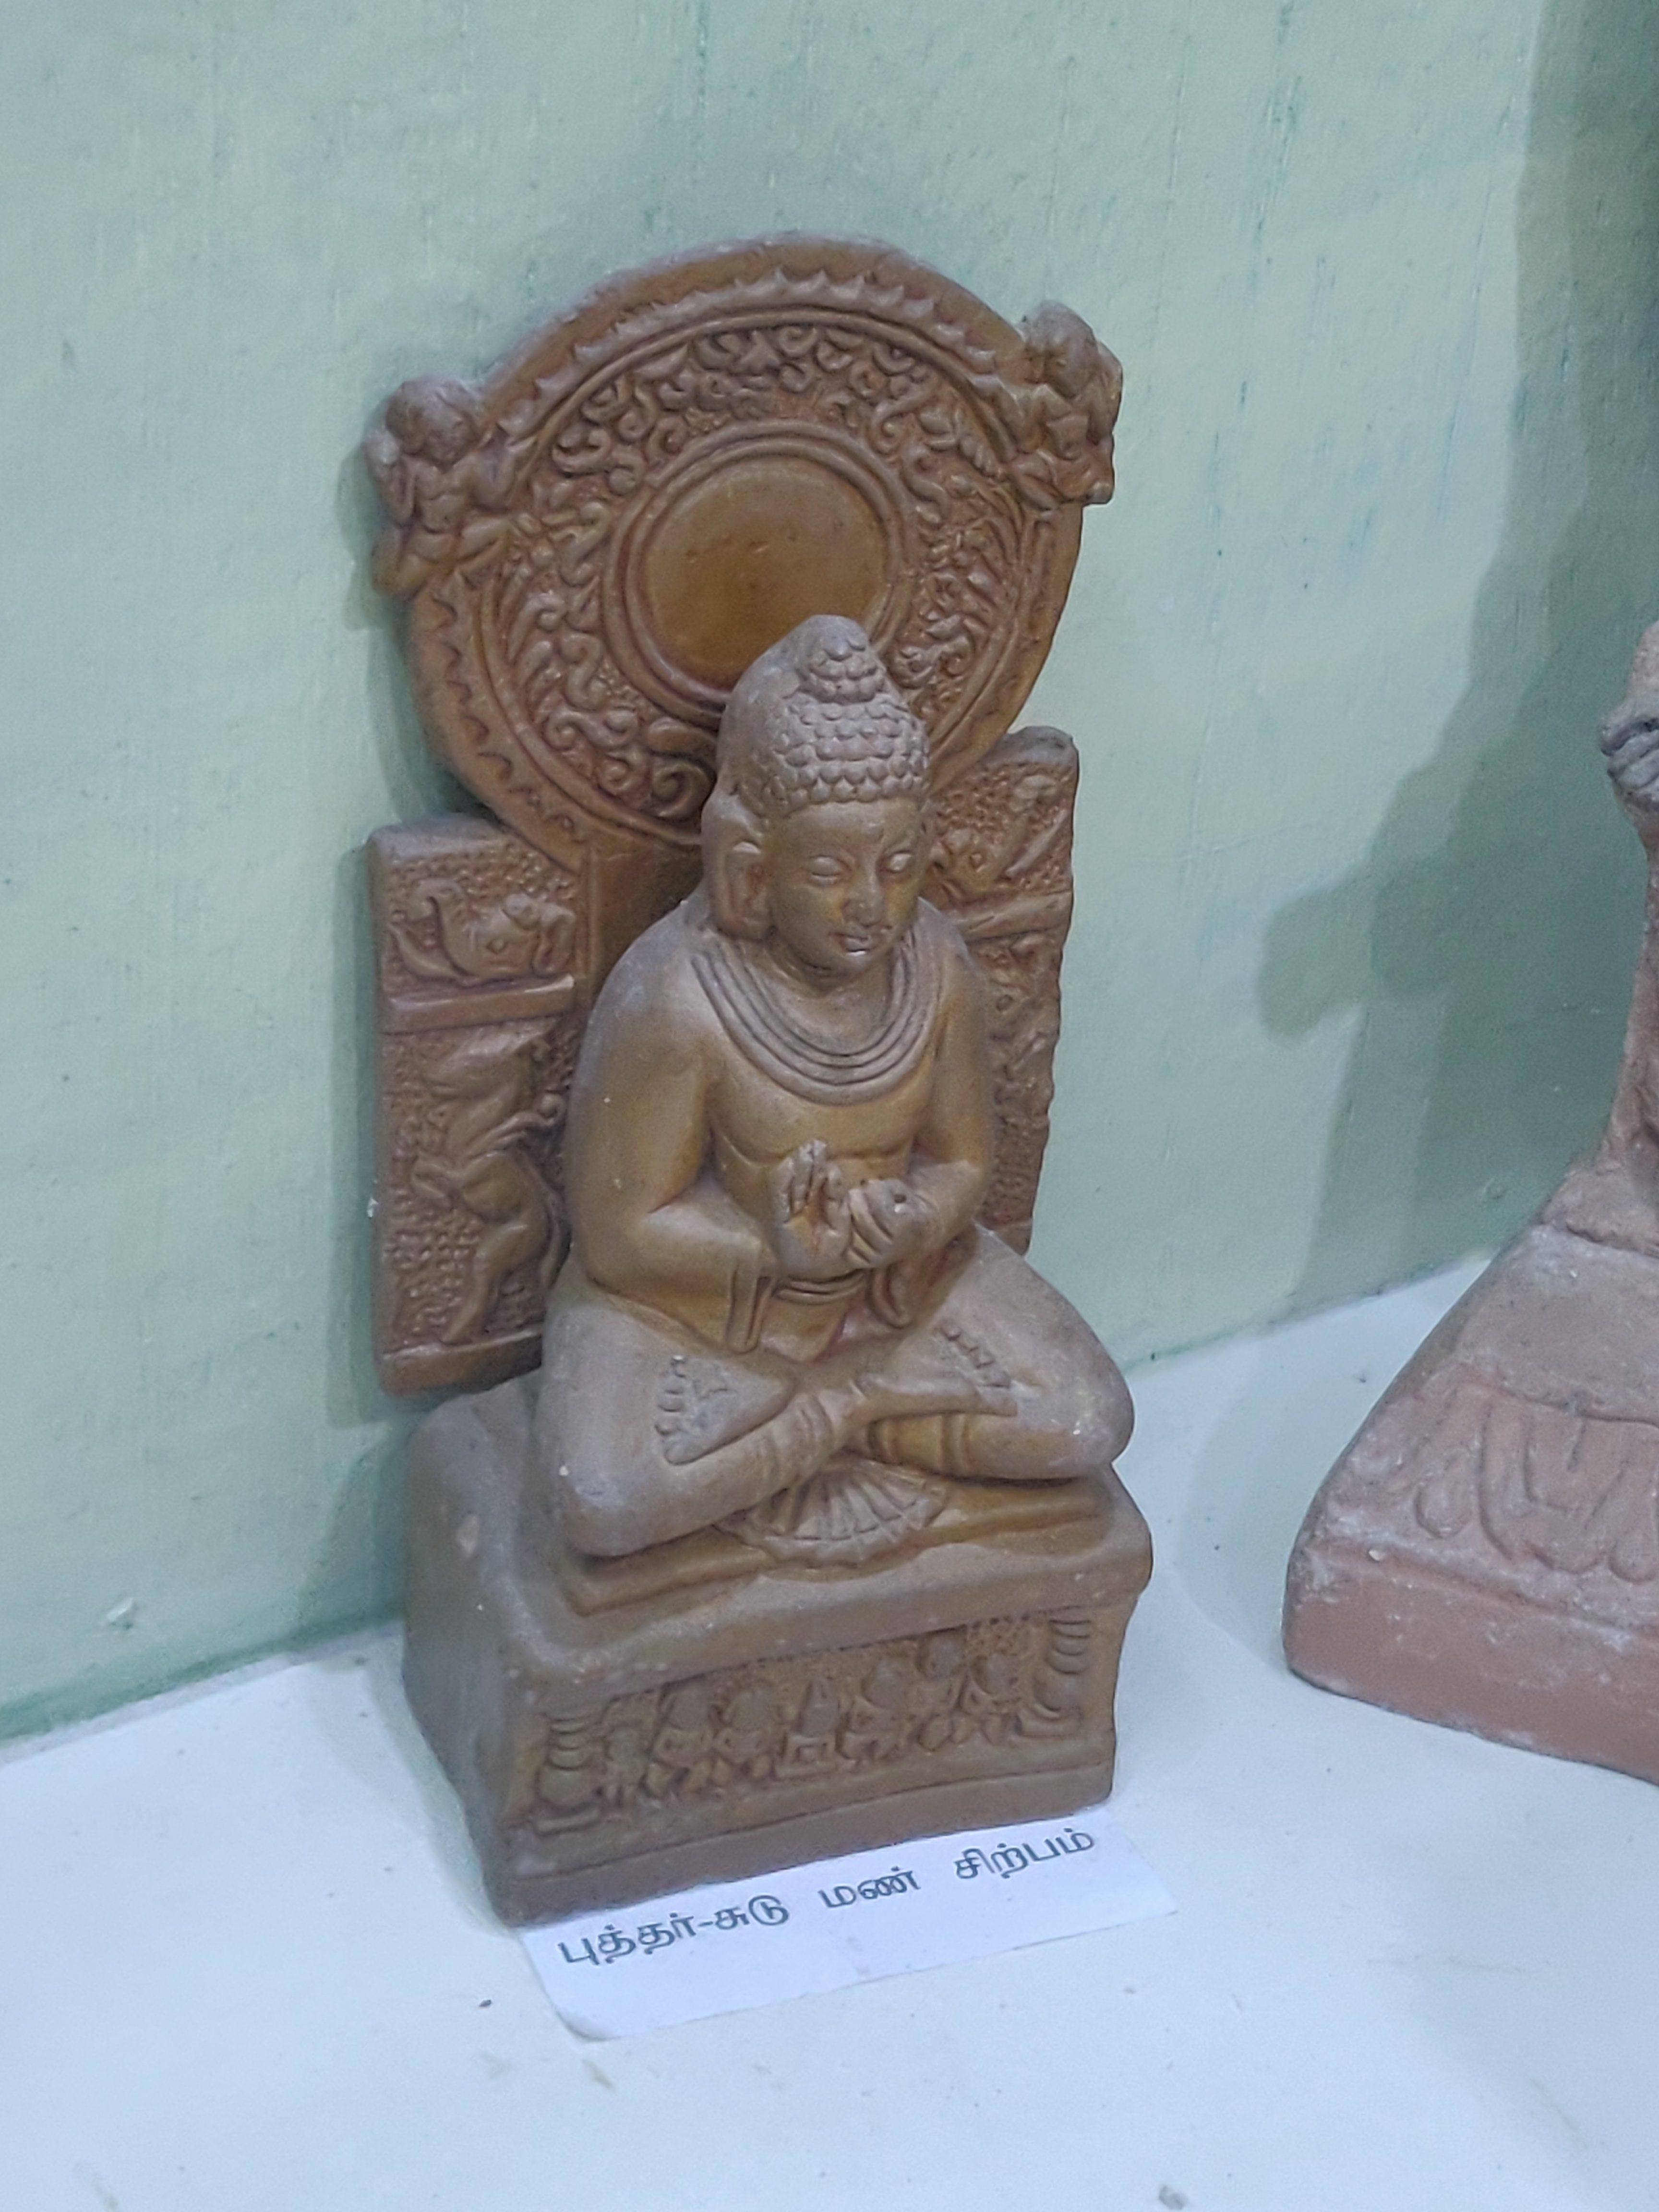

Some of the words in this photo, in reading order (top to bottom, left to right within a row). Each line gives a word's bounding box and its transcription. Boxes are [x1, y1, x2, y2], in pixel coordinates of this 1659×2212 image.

[953, 1823, 1099, 1882] சிற்பம்
[813, 1860, 924, 1914] மணஂ
[554, 1892, 797, 1968] புத்தர்-சுடு